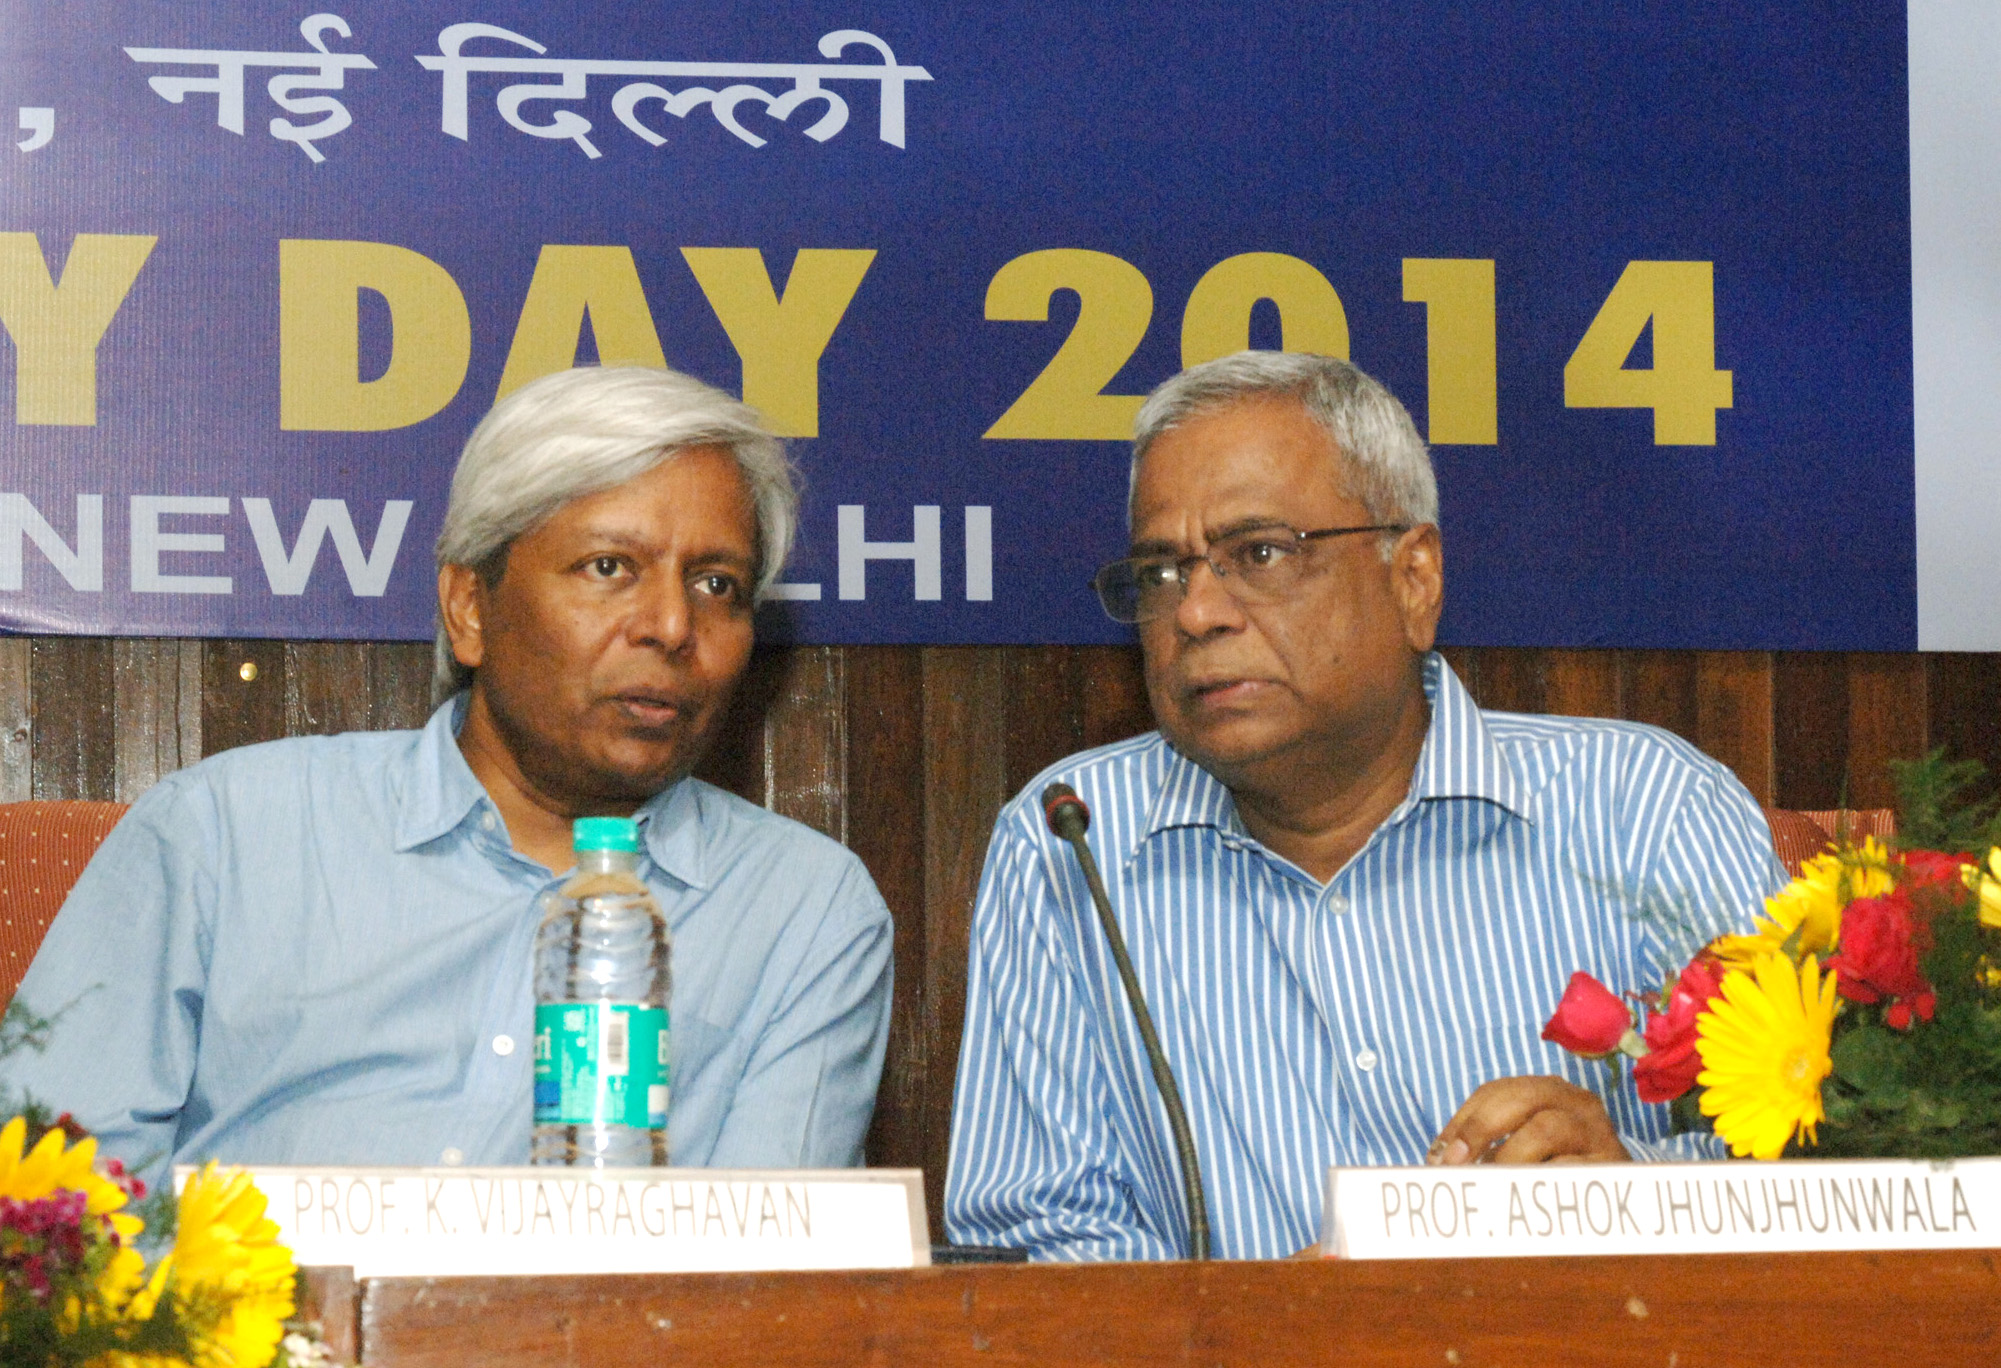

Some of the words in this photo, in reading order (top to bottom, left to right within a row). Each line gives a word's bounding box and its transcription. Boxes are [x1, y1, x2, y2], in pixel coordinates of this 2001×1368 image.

[118, 6, 384, 170] नई
[412, 15, 936, 162] दिल्ली
[272, 234, 879, 443] DAY
[969, 239, 1739, 449] 2014
[1, 488, 421, 601] NEW
[835, 502, 997, 606] द्थानासाठीचा
[283, 1174, 403, 1246] PROF
[414, 1174, 458, 1240] K.
[465, 1171, 821, 1250] VIJAYRAGHAVAN
[1372, 1169, 1488, 1240] PROF
[1501, 1167, 1642, 1243] ASHOK
[1647, 1168, 1981, 1242] JHUNJHUNWALA